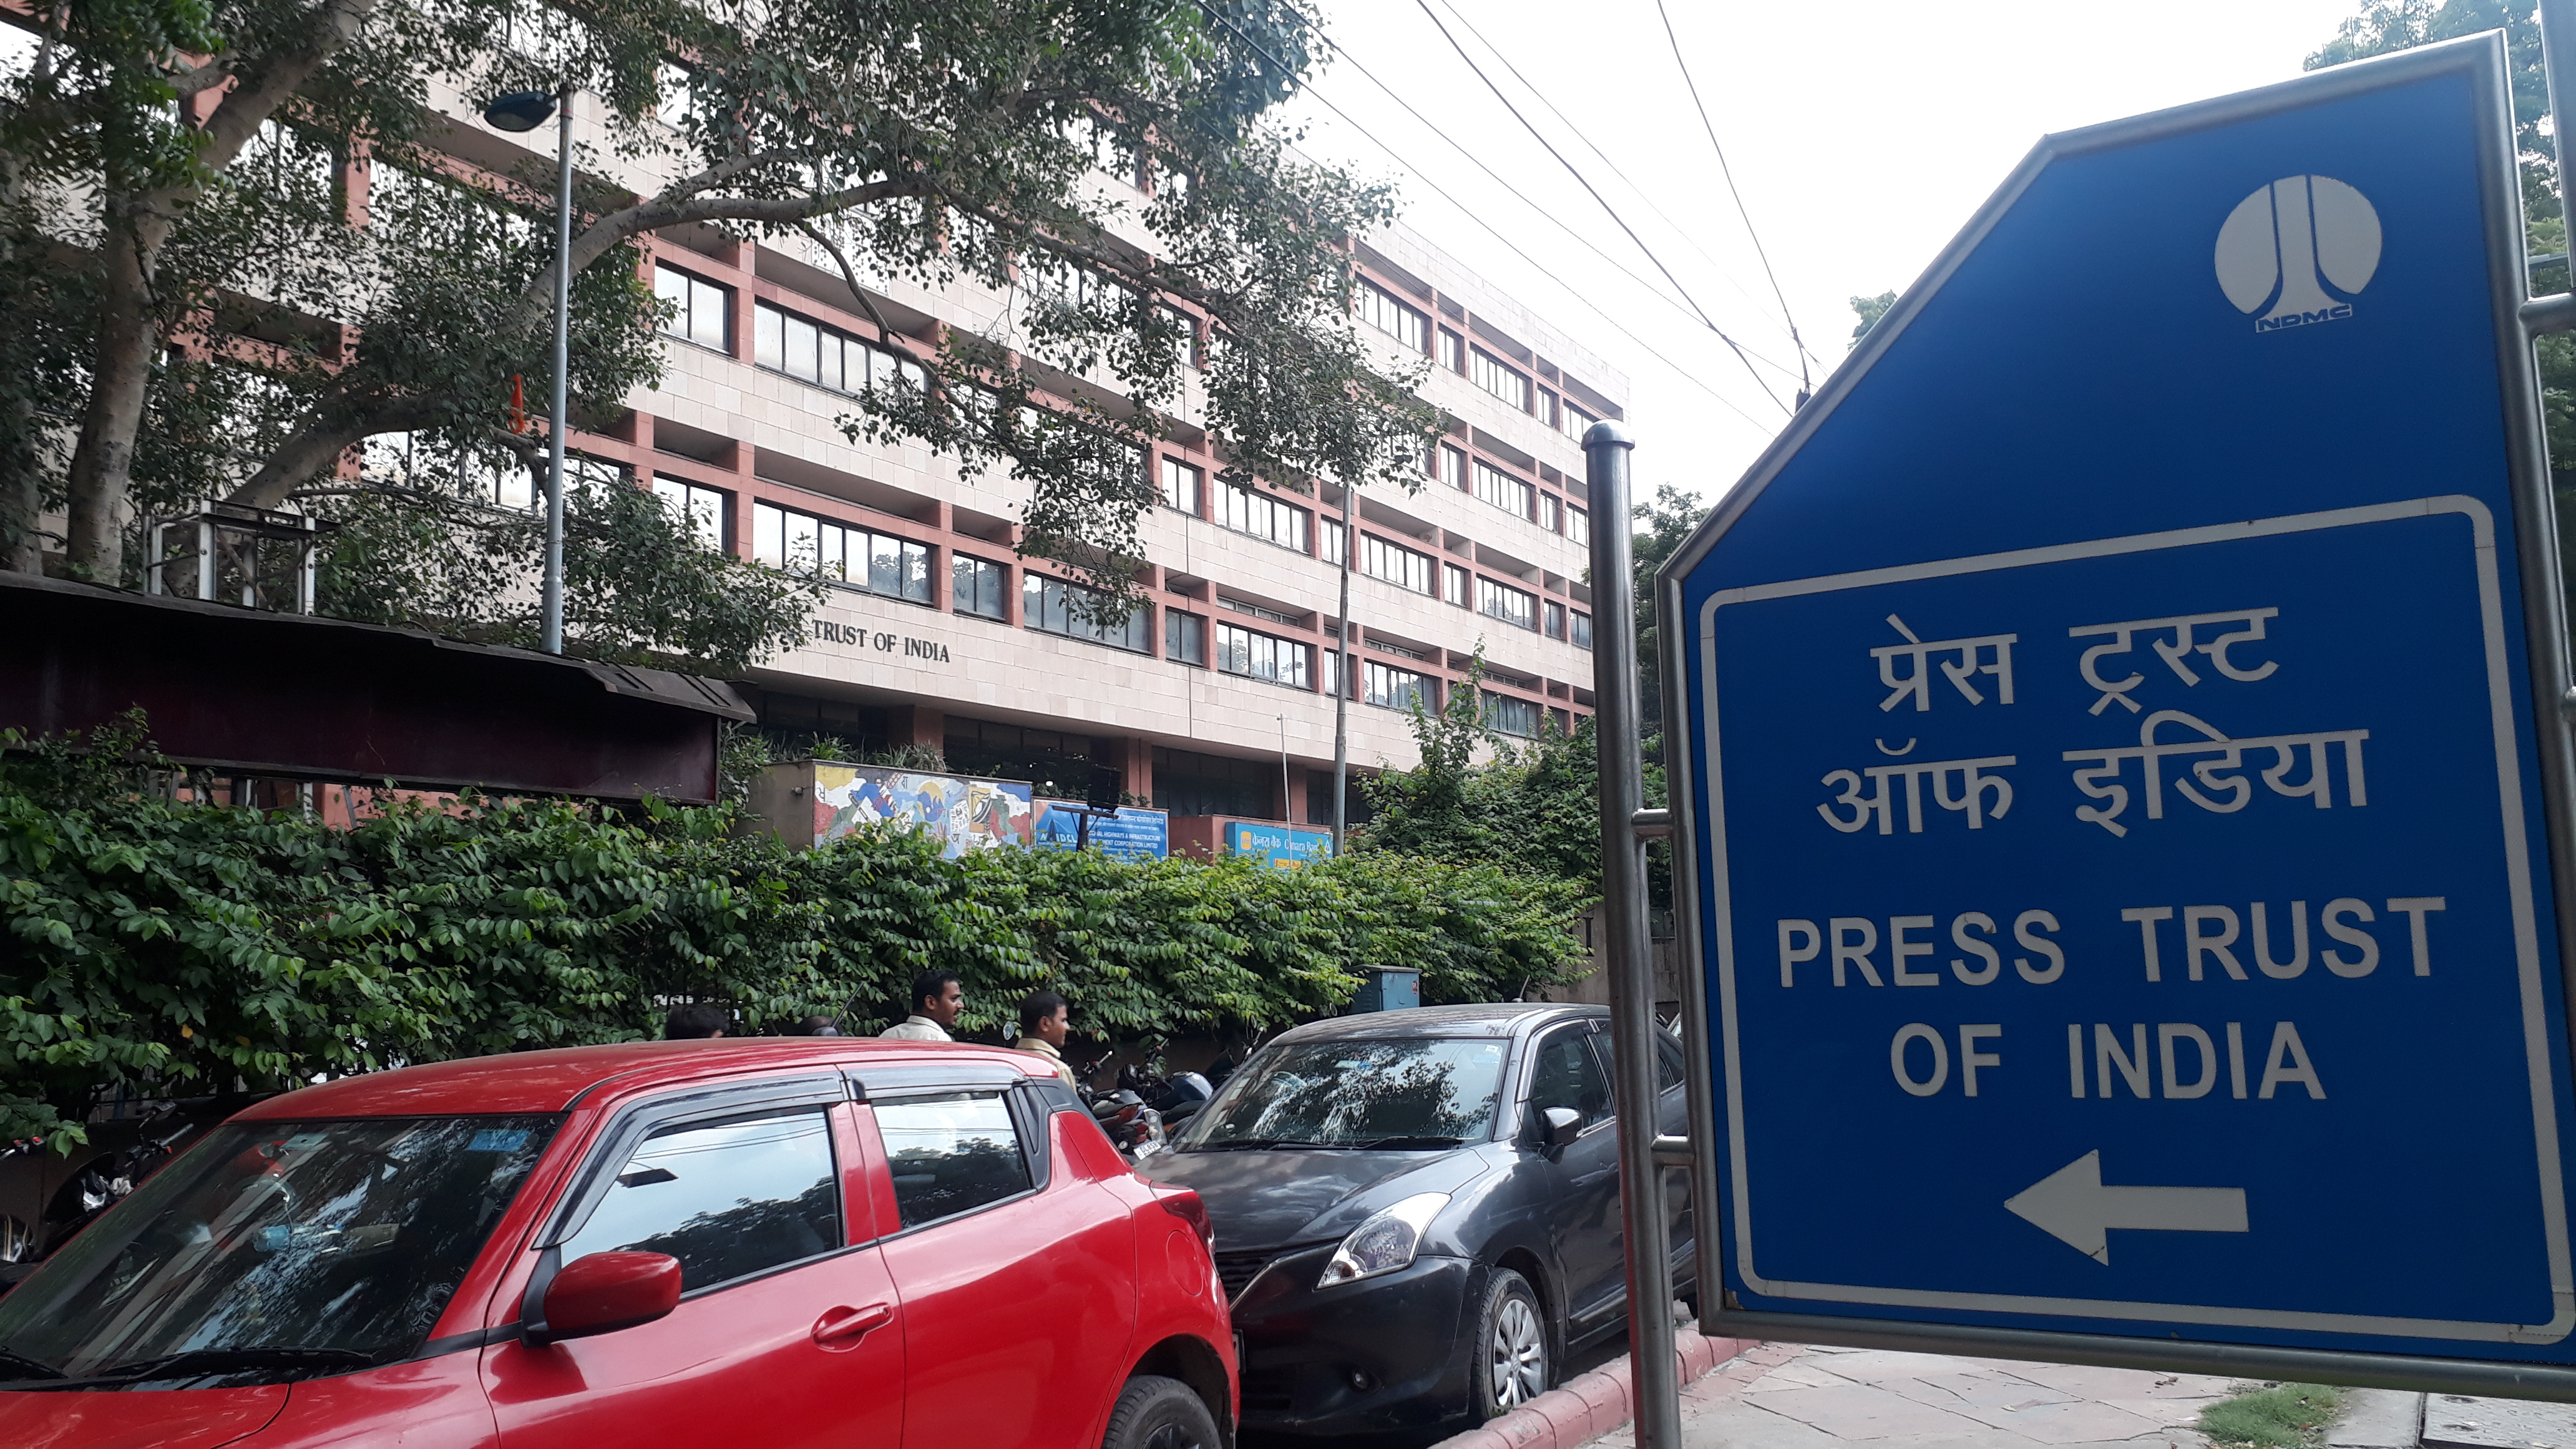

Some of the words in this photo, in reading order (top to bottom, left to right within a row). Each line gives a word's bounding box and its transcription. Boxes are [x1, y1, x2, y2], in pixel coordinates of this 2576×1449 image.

[811, 617, 869, 651] TRUST
[872, 627, 900, 656] OF
[902, 636, 950, 666] INDIA
[1855, 608, 2026, 724] प्रेस
[2064, 603, 2288, 720] ट्रस्ट
[1812, 733, 2022, 849] ऑफ
[2054, 704, 2376, 844] इडिया
[1770, 905, 2068, 993] PRESS
[2117, 895, 2451, 987] TRUST
[1875, 1012, 2009, 1106] OF
[2066, 1018, 2330, 1106] INDIA